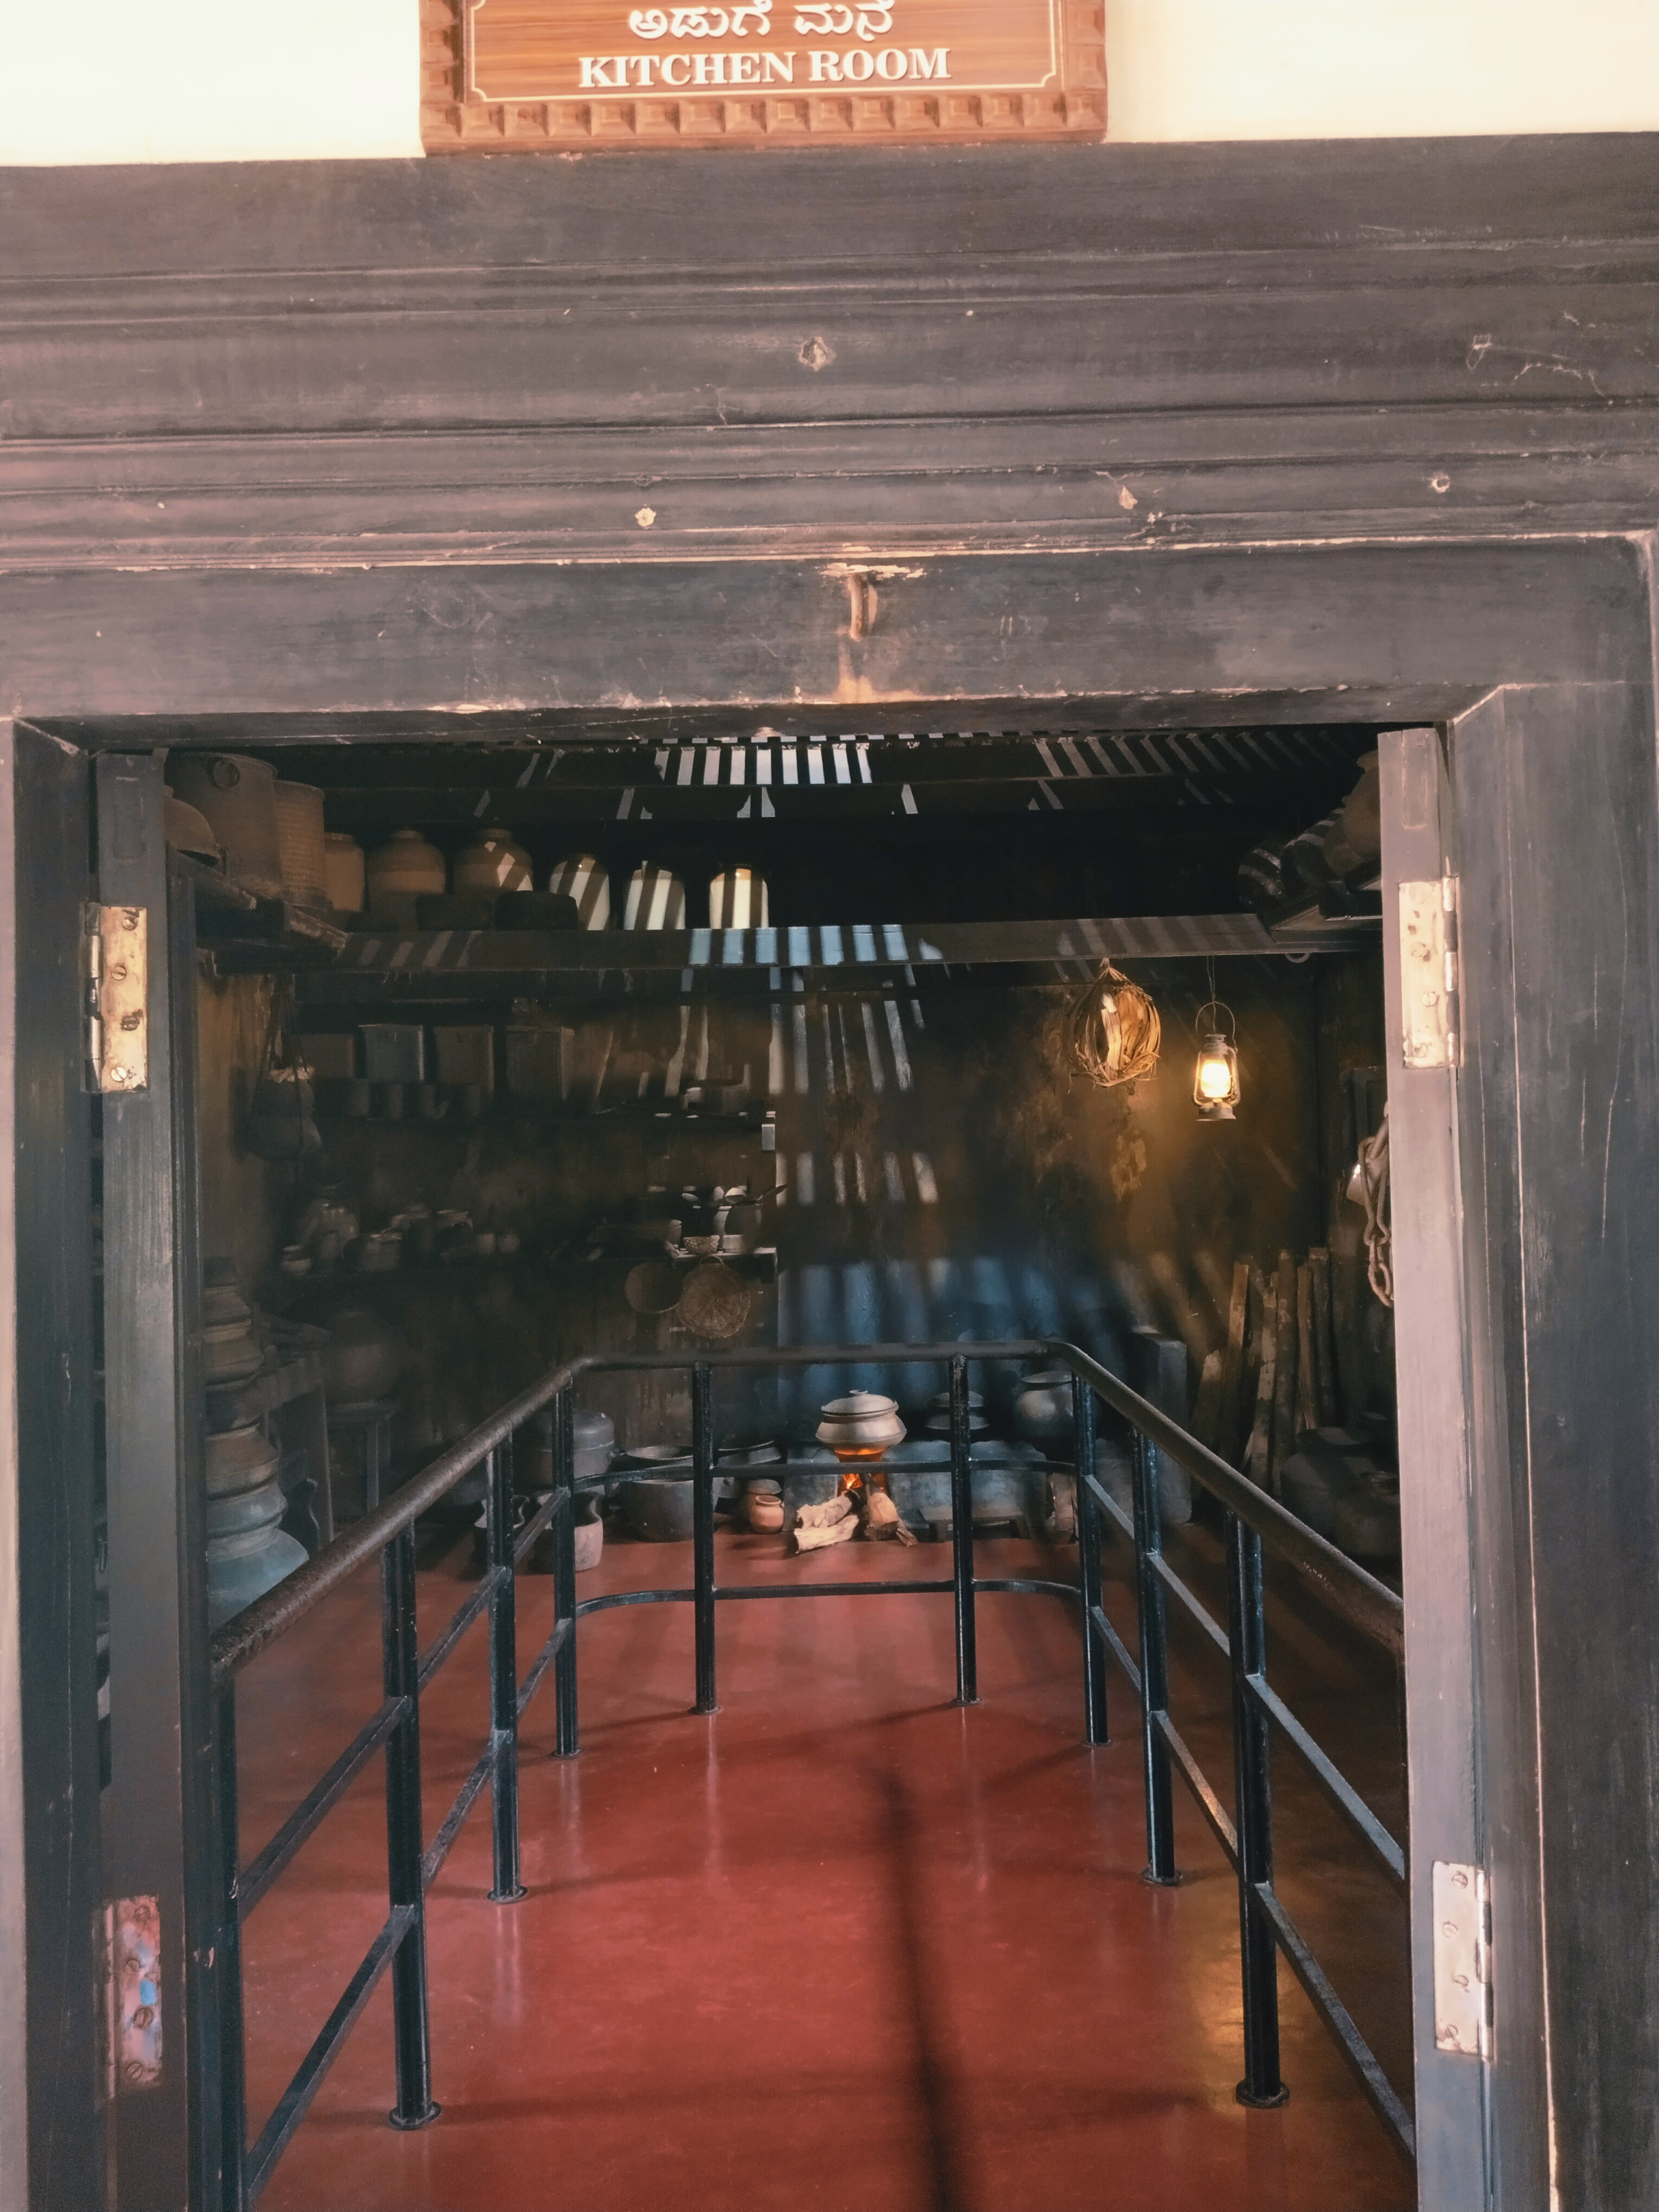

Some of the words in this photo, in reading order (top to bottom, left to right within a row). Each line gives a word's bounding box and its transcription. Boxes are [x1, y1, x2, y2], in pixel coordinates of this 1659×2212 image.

[625, 1, 777, 44] ಅಡುಗ
[785, 0, 901, 50] ಮನೆ
[570, 48, 799, 93] KITCHEN
[805, 46, 957, 89] ROOM